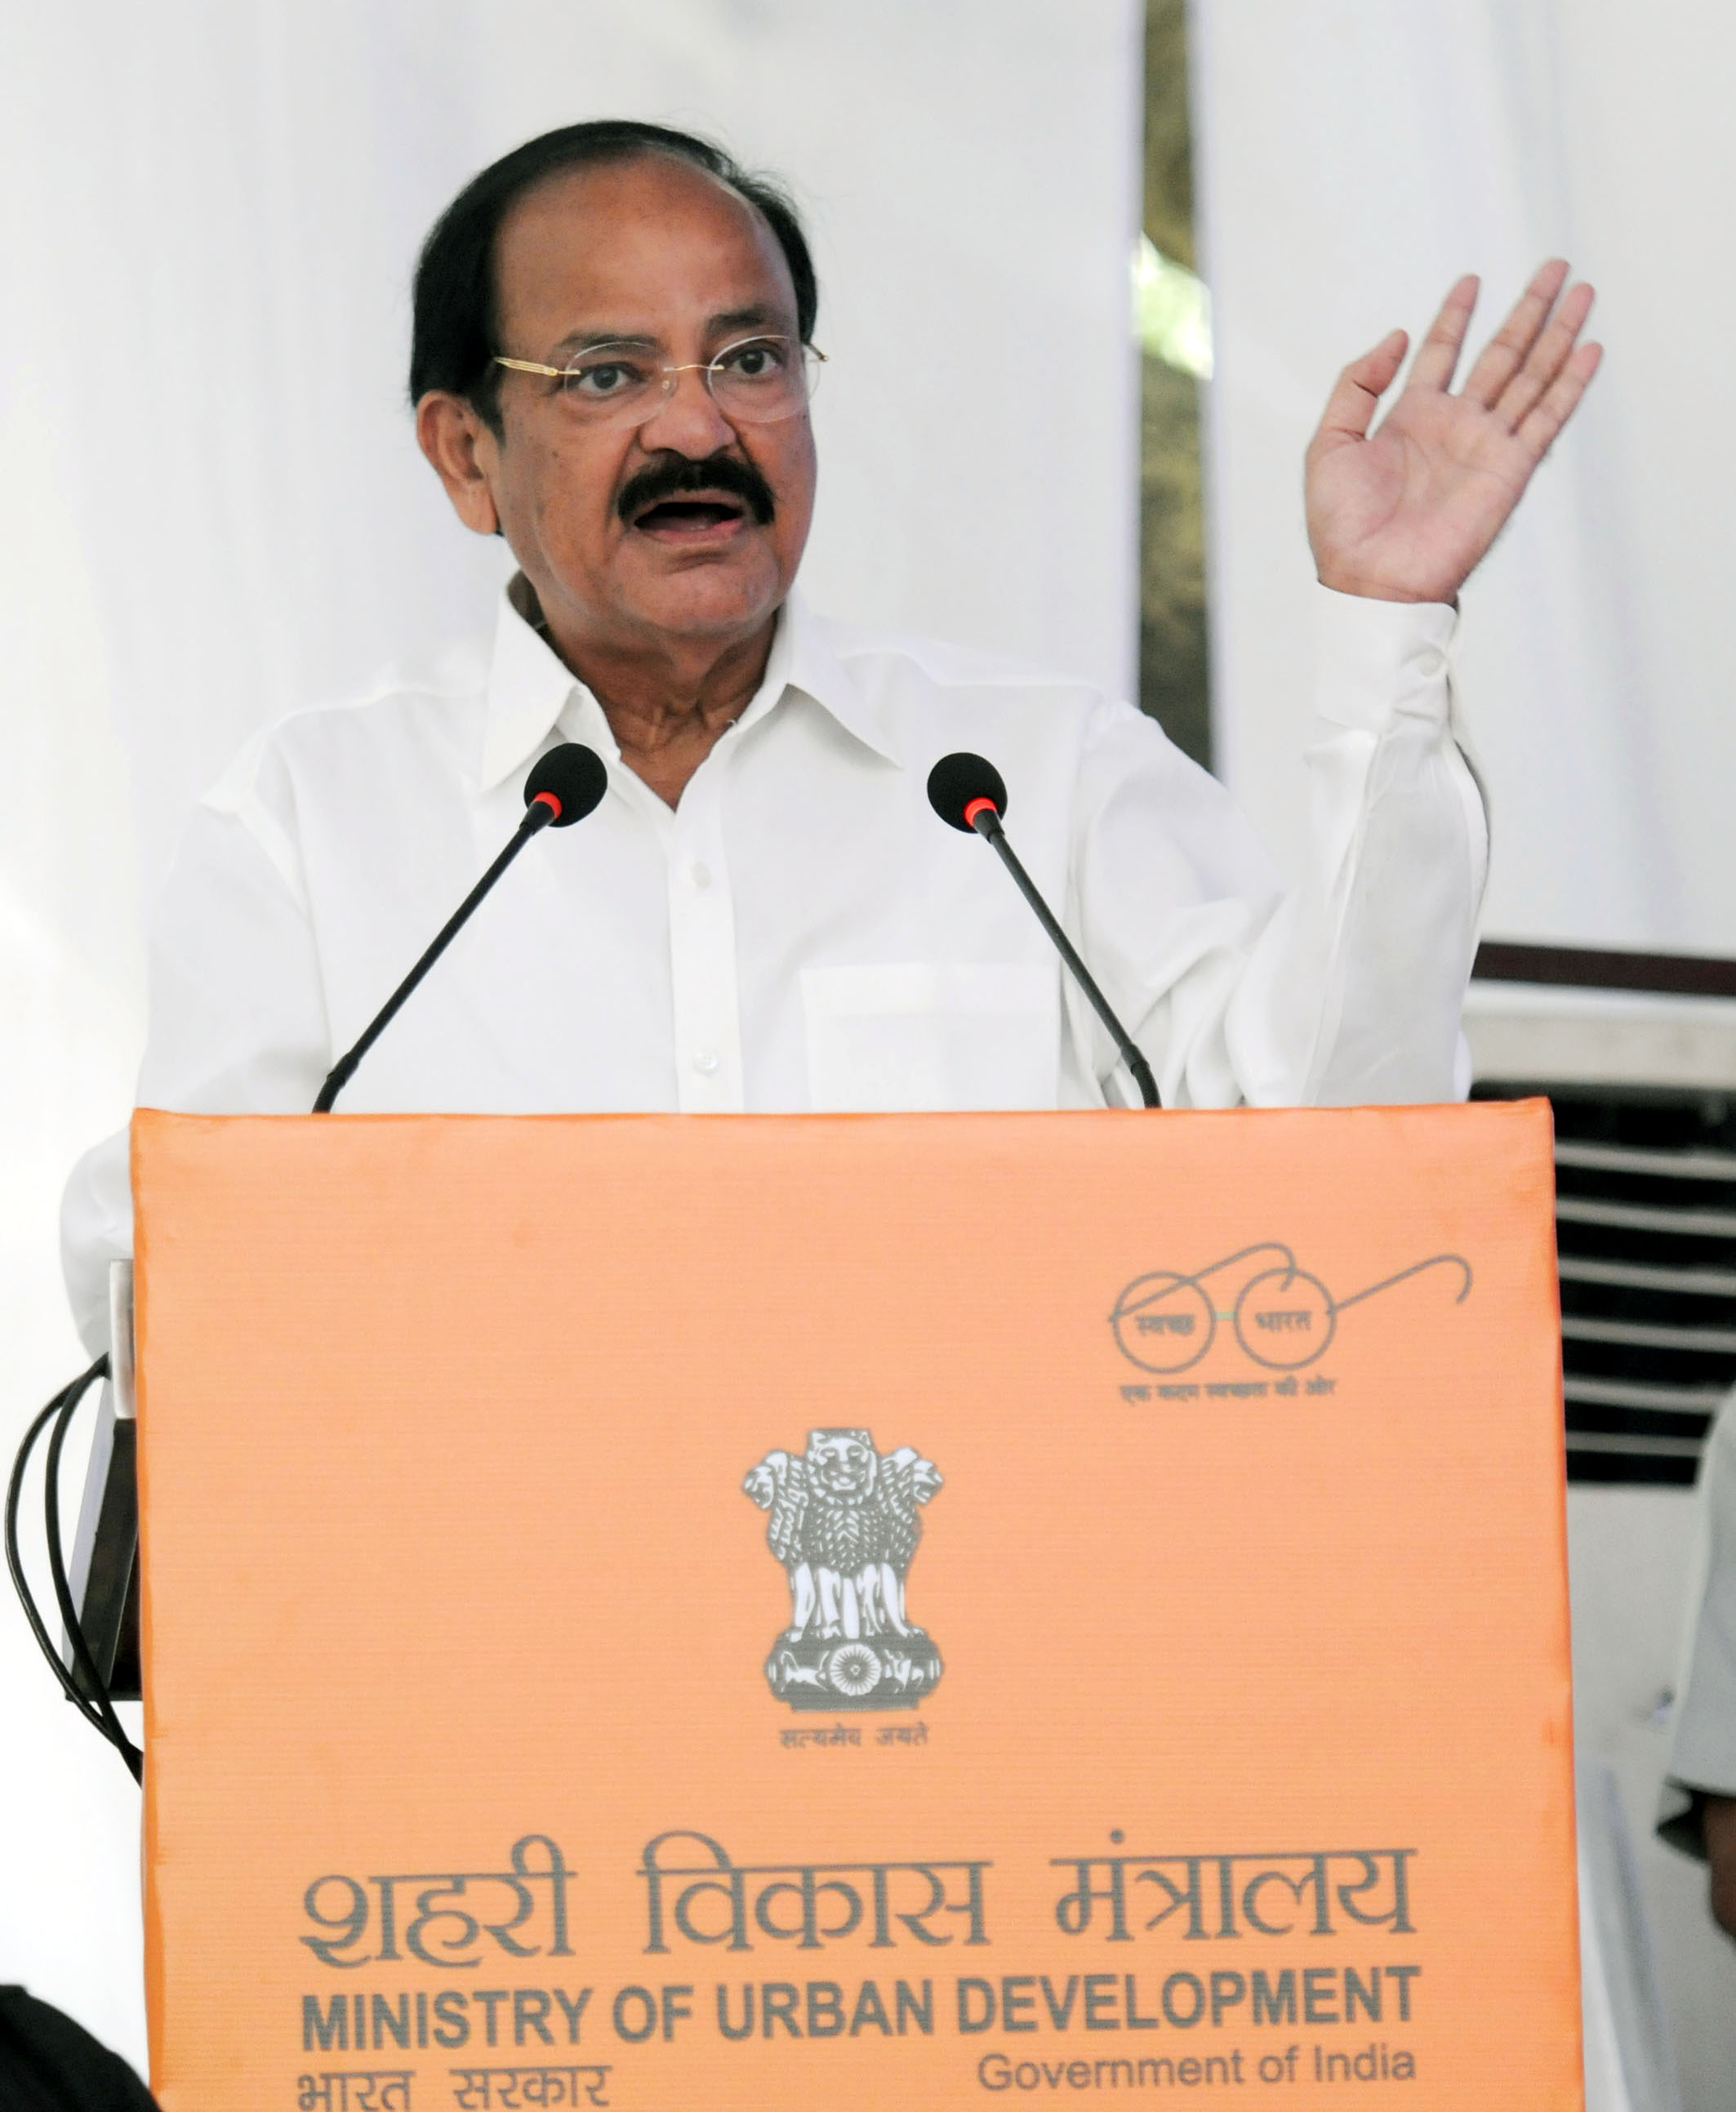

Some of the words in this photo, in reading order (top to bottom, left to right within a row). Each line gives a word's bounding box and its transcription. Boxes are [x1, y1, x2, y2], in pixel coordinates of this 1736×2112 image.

[1129, 1309, 1203, 1342] स्वच्छ
[1249, 1303, 1320, 1339] भारत
[1111, 1379, 1158, 1415] एक
[1150, 1375, 1208, 1413] कदम
[1199, 1374, 1273, 1410] स्वच्छता
[1262, 1361, 1306, 1406] की
[768, 1703, 869, 1757] सत्यमेव
[866, 1713, 933, 1752] जयते
[290, 1827, 585, 1973] शहरी
[625, 1820, 999, 1962] विकास
[1044, 1816, 1423, 1948] मंत्रालय
[297, 1981, 599, 2057] MINISTRY
[603, 1971, 703, 2053] OF
[715, 1972, 944, 2048] URBAN
[955, 1958, 1427, 2043] DEVELOPMENT
[289, 2065, 416, 2111] भारत
[449, 2057, 616, 2111] सरकार
[968, 2045, 1247, 2099] Government
[1251, 2038, 1304, 2087] of
[1308, 2033, 1421, 2088] India